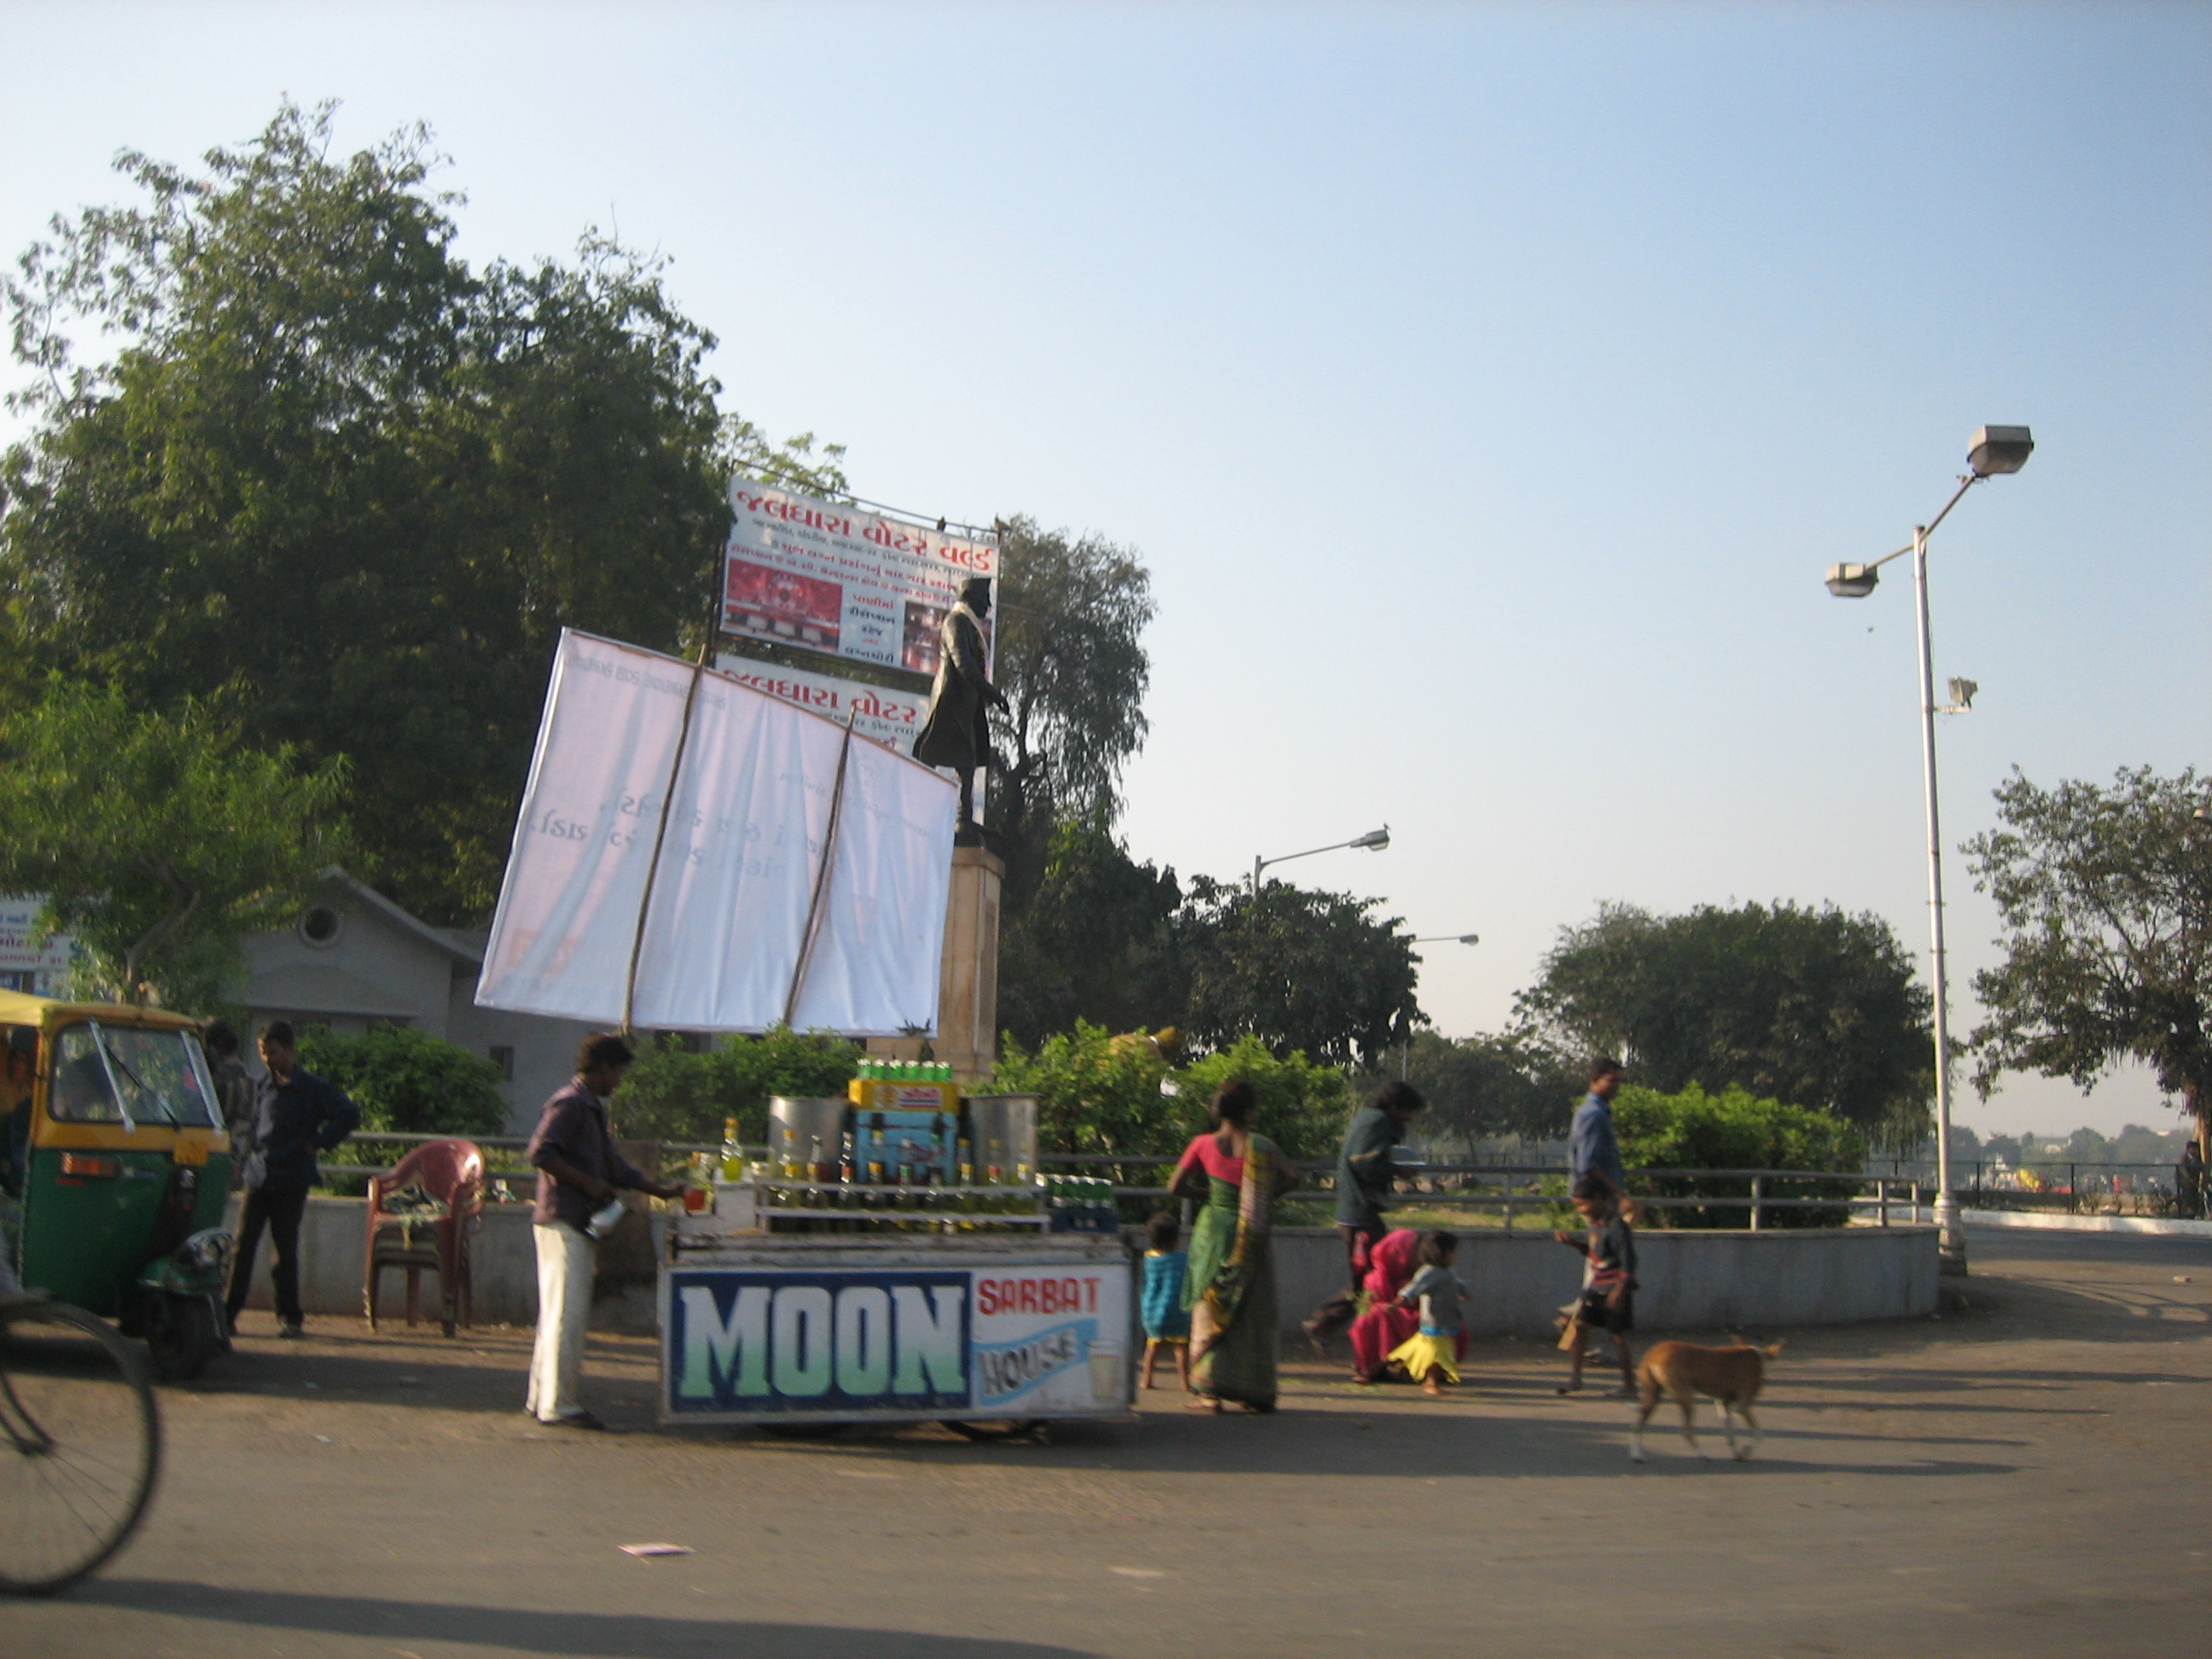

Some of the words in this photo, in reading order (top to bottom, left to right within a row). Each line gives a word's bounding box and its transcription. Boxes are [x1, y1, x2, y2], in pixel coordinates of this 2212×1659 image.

[979, 1269, 1092, 1317] SARBA
[665, 1272, 970, 1411] MOON
[988, 1321, 1097, 1395] HOUSE